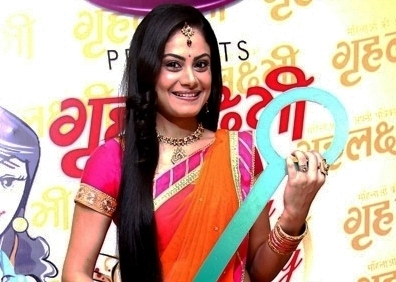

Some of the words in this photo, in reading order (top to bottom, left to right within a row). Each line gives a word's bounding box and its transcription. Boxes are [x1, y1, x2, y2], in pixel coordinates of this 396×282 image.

[327, 30, 388, 89] गृह
[46, 90, 125, 177] गृ
[341, 116, 396, 166] लक्ष्
[340, 193, 396, 260] गृह